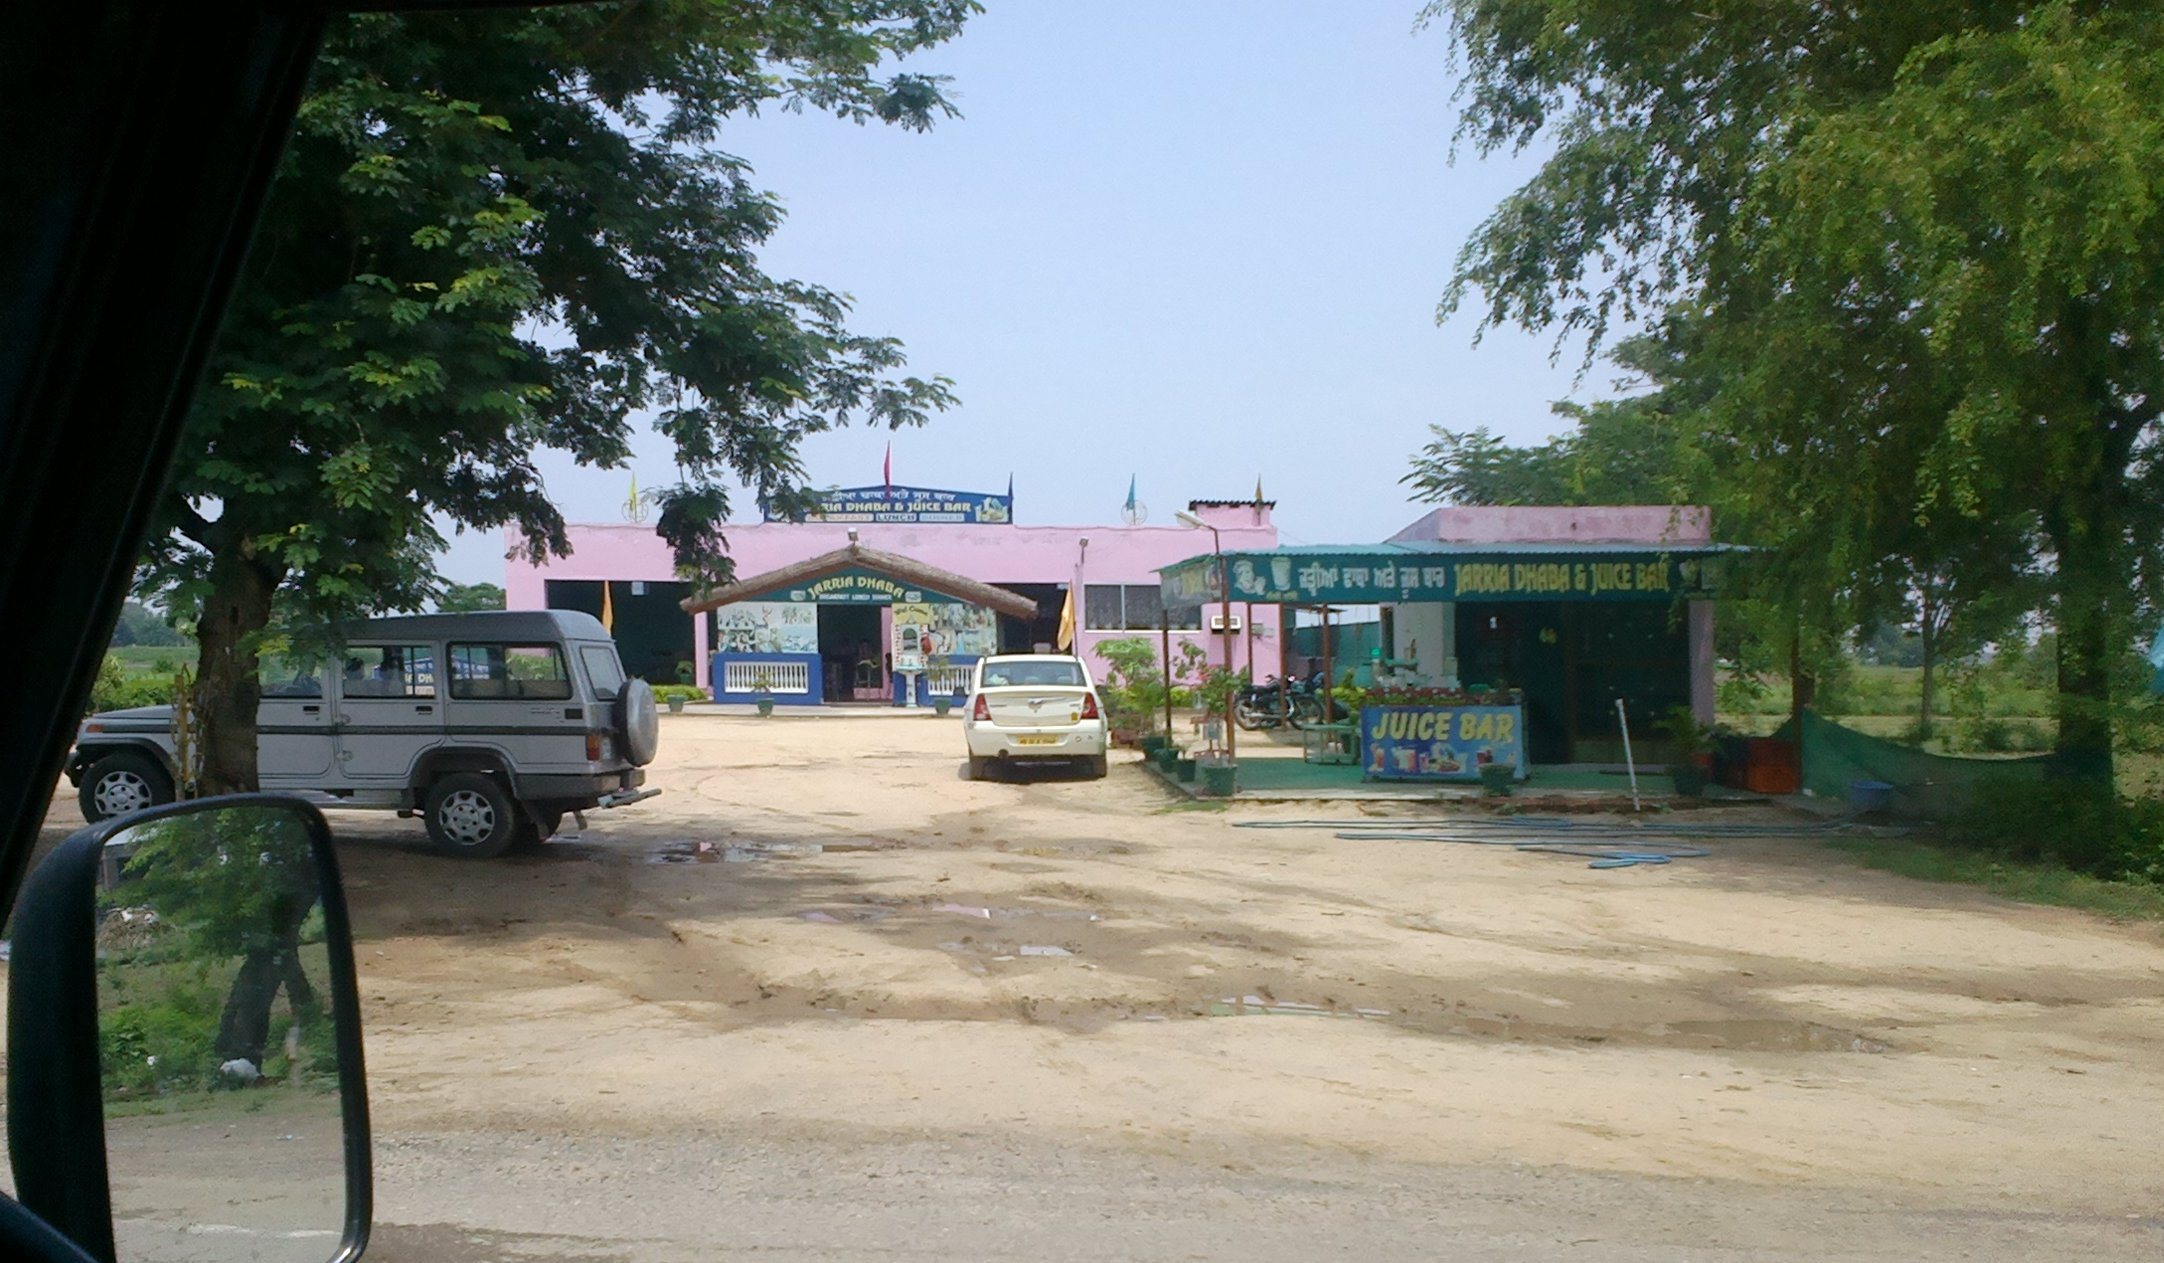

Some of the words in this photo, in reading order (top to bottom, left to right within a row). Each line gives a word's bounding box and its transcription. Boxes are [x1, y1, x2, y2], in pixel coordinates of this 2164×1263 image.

[841, 500, 893, 513] DHABA
[892, 500, 907, 512] D
[904, 500, 942, 513] JUICE
[941, 499, 973, 513] BAR
[803, 571, 855, 602] JARRIA
[854, 572, 908, 601] DHABA
[1340, 562, 1371, 591] ਢਾਬਾ
[1370, 556, 1399, 593] ਅਤੇ
[1398, 563, 1423, 601] ਜੂਸ
[1420, 561, 1451, 590] ਬਾਰ
[1449, 558, 1513, 599] JARRIA
[1512, 555, 1574, 599] DHABA
[1571, 558, 1589, 595] &
[1587, 559, 1637, 599] JUICE
[1635, 557, 1675, 595] BAR
[1363, 705, 1457, 745] JUICE
[1455, 707, 1519, 745] BAR